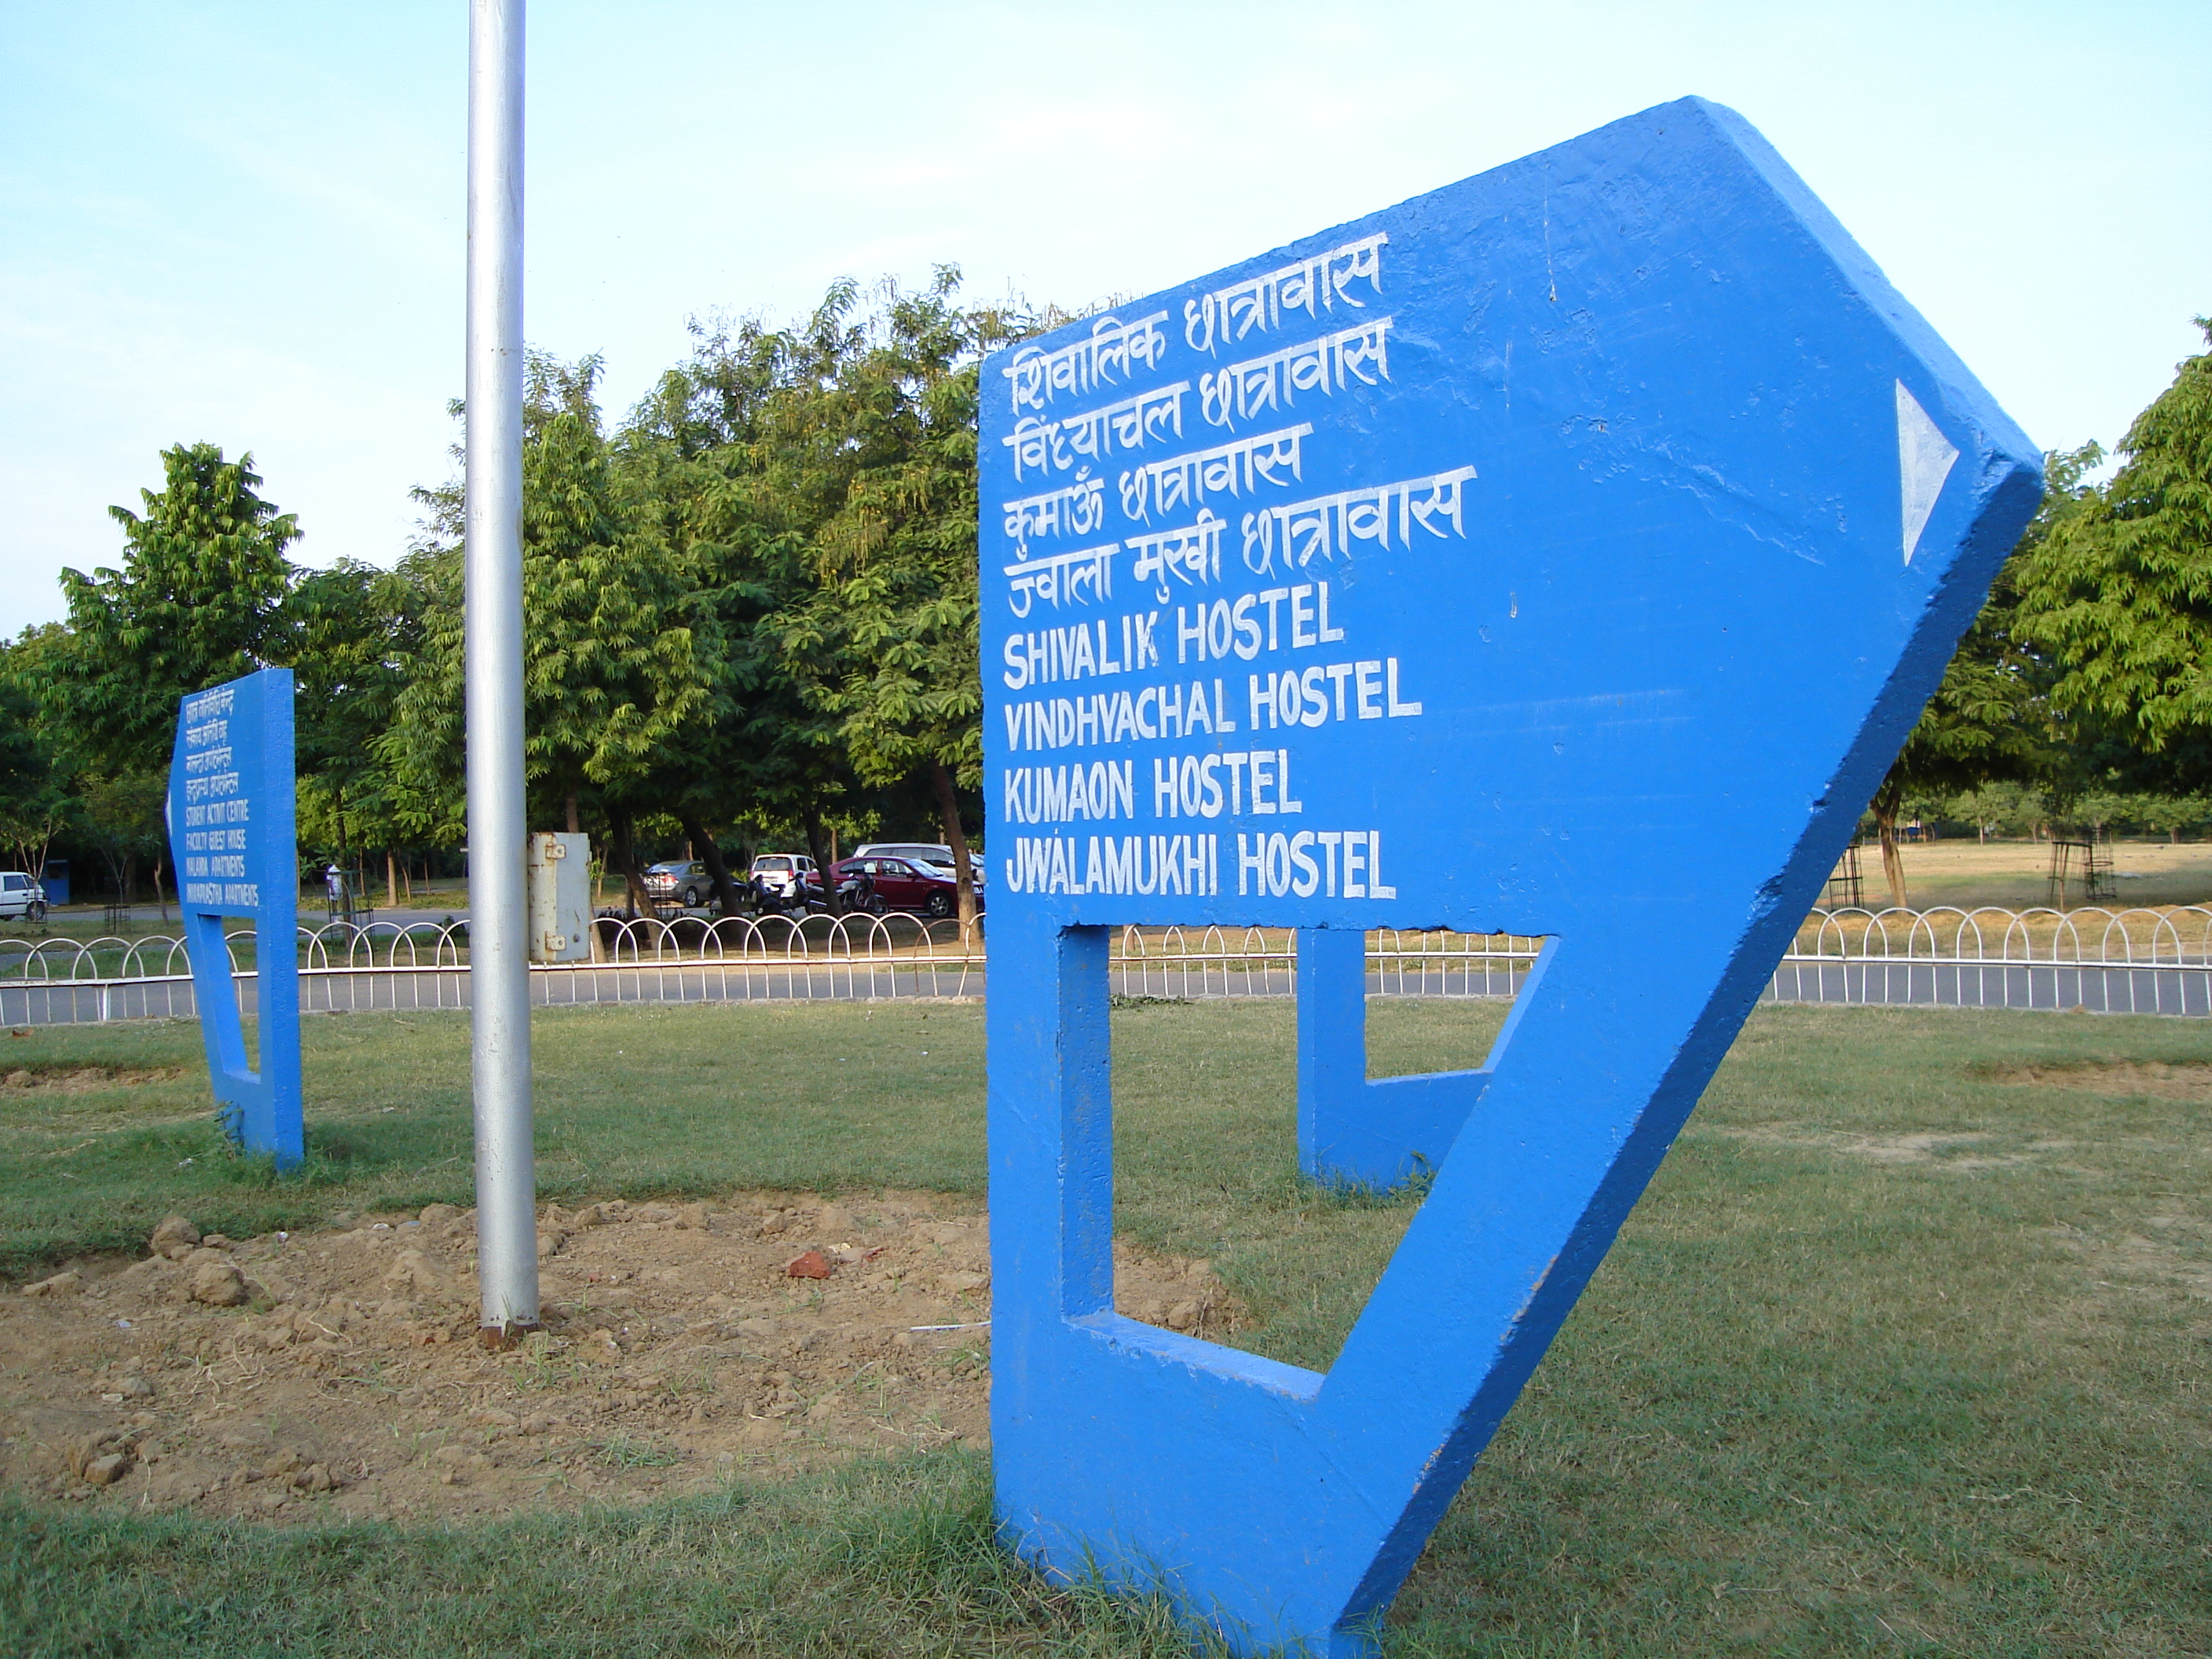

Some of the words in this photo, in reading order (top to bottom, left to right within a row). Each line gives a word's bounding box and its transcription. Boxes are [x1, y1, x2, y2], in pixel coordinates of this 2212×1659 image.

[1179, 224, 1392, 369] छात्रावास
[998, 306, 1171, 419] शिवालिक
[1194, 309, 1401, 440] छात्रावास
[1000, 458, 1108, 564] कुमाऊँ
[1001, 540, 1125, 626] ज्वाला
[1001, 606, 1163, 695] SHIVALIK
[998, 373, 1197, 489] विंध्याचल
[1002, 675, 1240, 758] VINDHVACHAL
[1124, 504, 1231, 609] मुखी
[1111, 414, 1318, 532] छात्रावास
[1174, 577, 1351, 669] HOSTEL
[1243, 650, 1426, 735] HOSTEL
[1240, 457, 1481, 585] धात्रावास
[999, 756, 1138, 829] KUMAON
[1149, 744, 1304, 825] HOSTEL
[996, 831, 1221, 899] JWALAMUKHI
[1233, 825, 1400, 903] HOSTEL